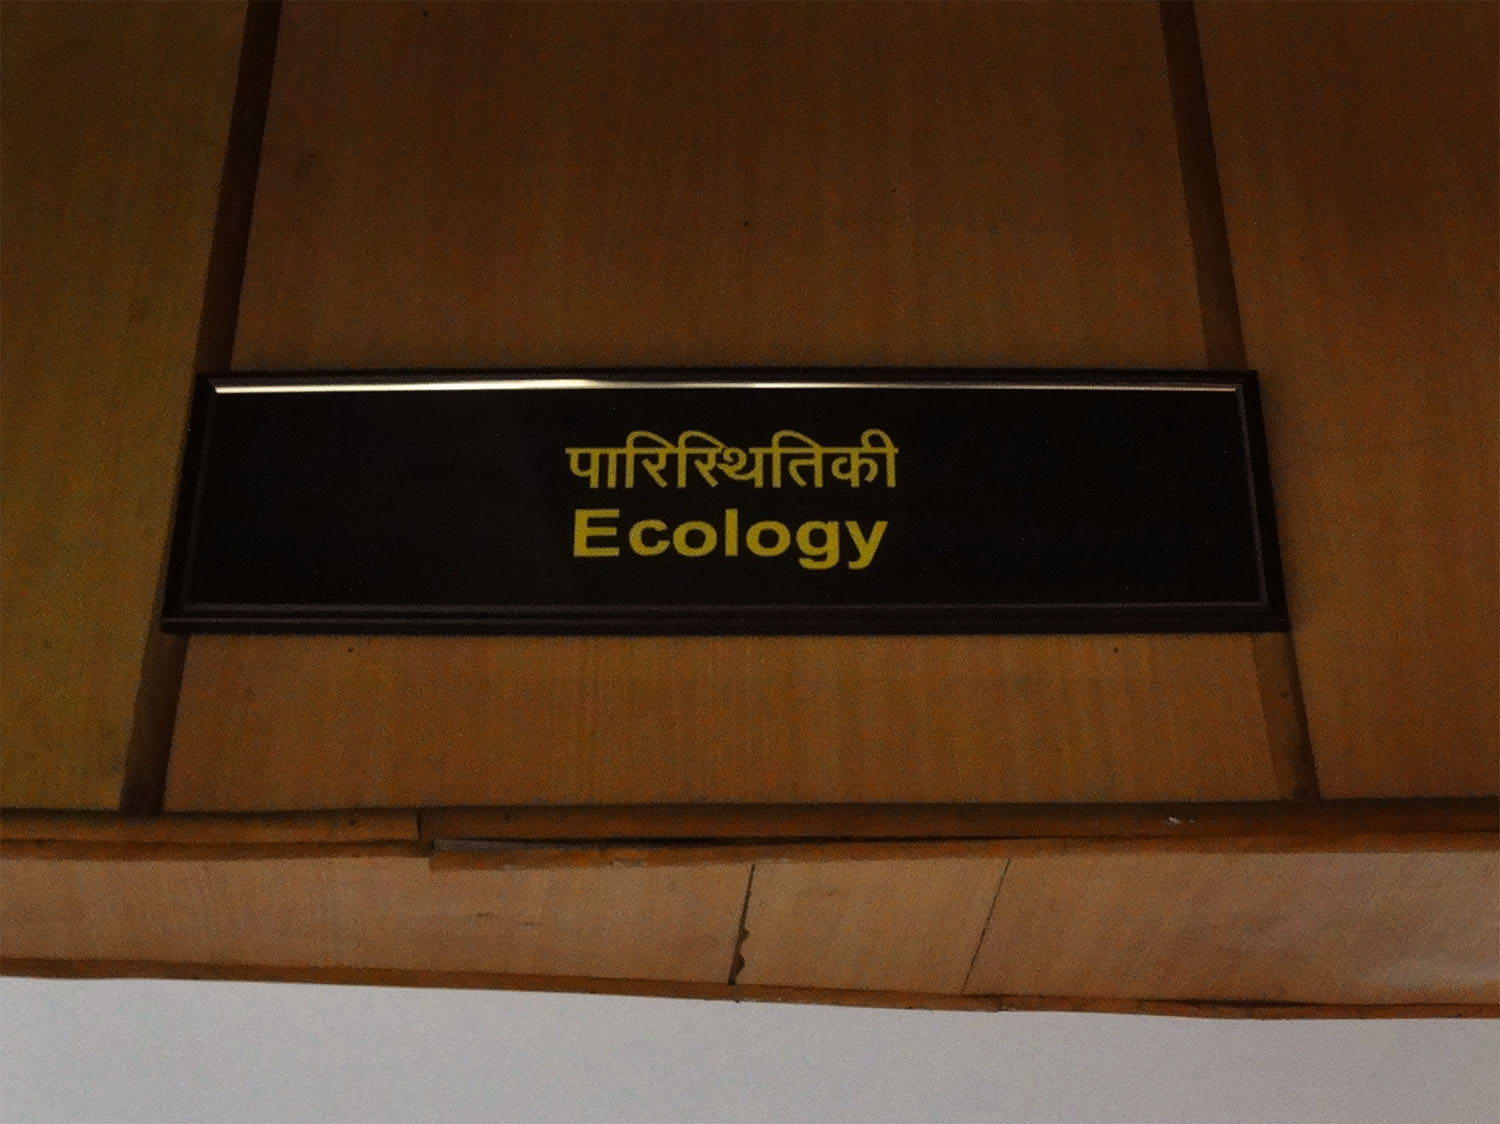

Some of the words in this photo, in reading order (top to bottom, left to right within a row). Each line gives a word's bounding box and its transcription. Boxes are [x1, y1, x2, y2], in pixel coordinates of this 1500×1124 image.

[561, 423, 902, 491] पारिस्थितिकी
[571, 507, 892, 575] Ecology